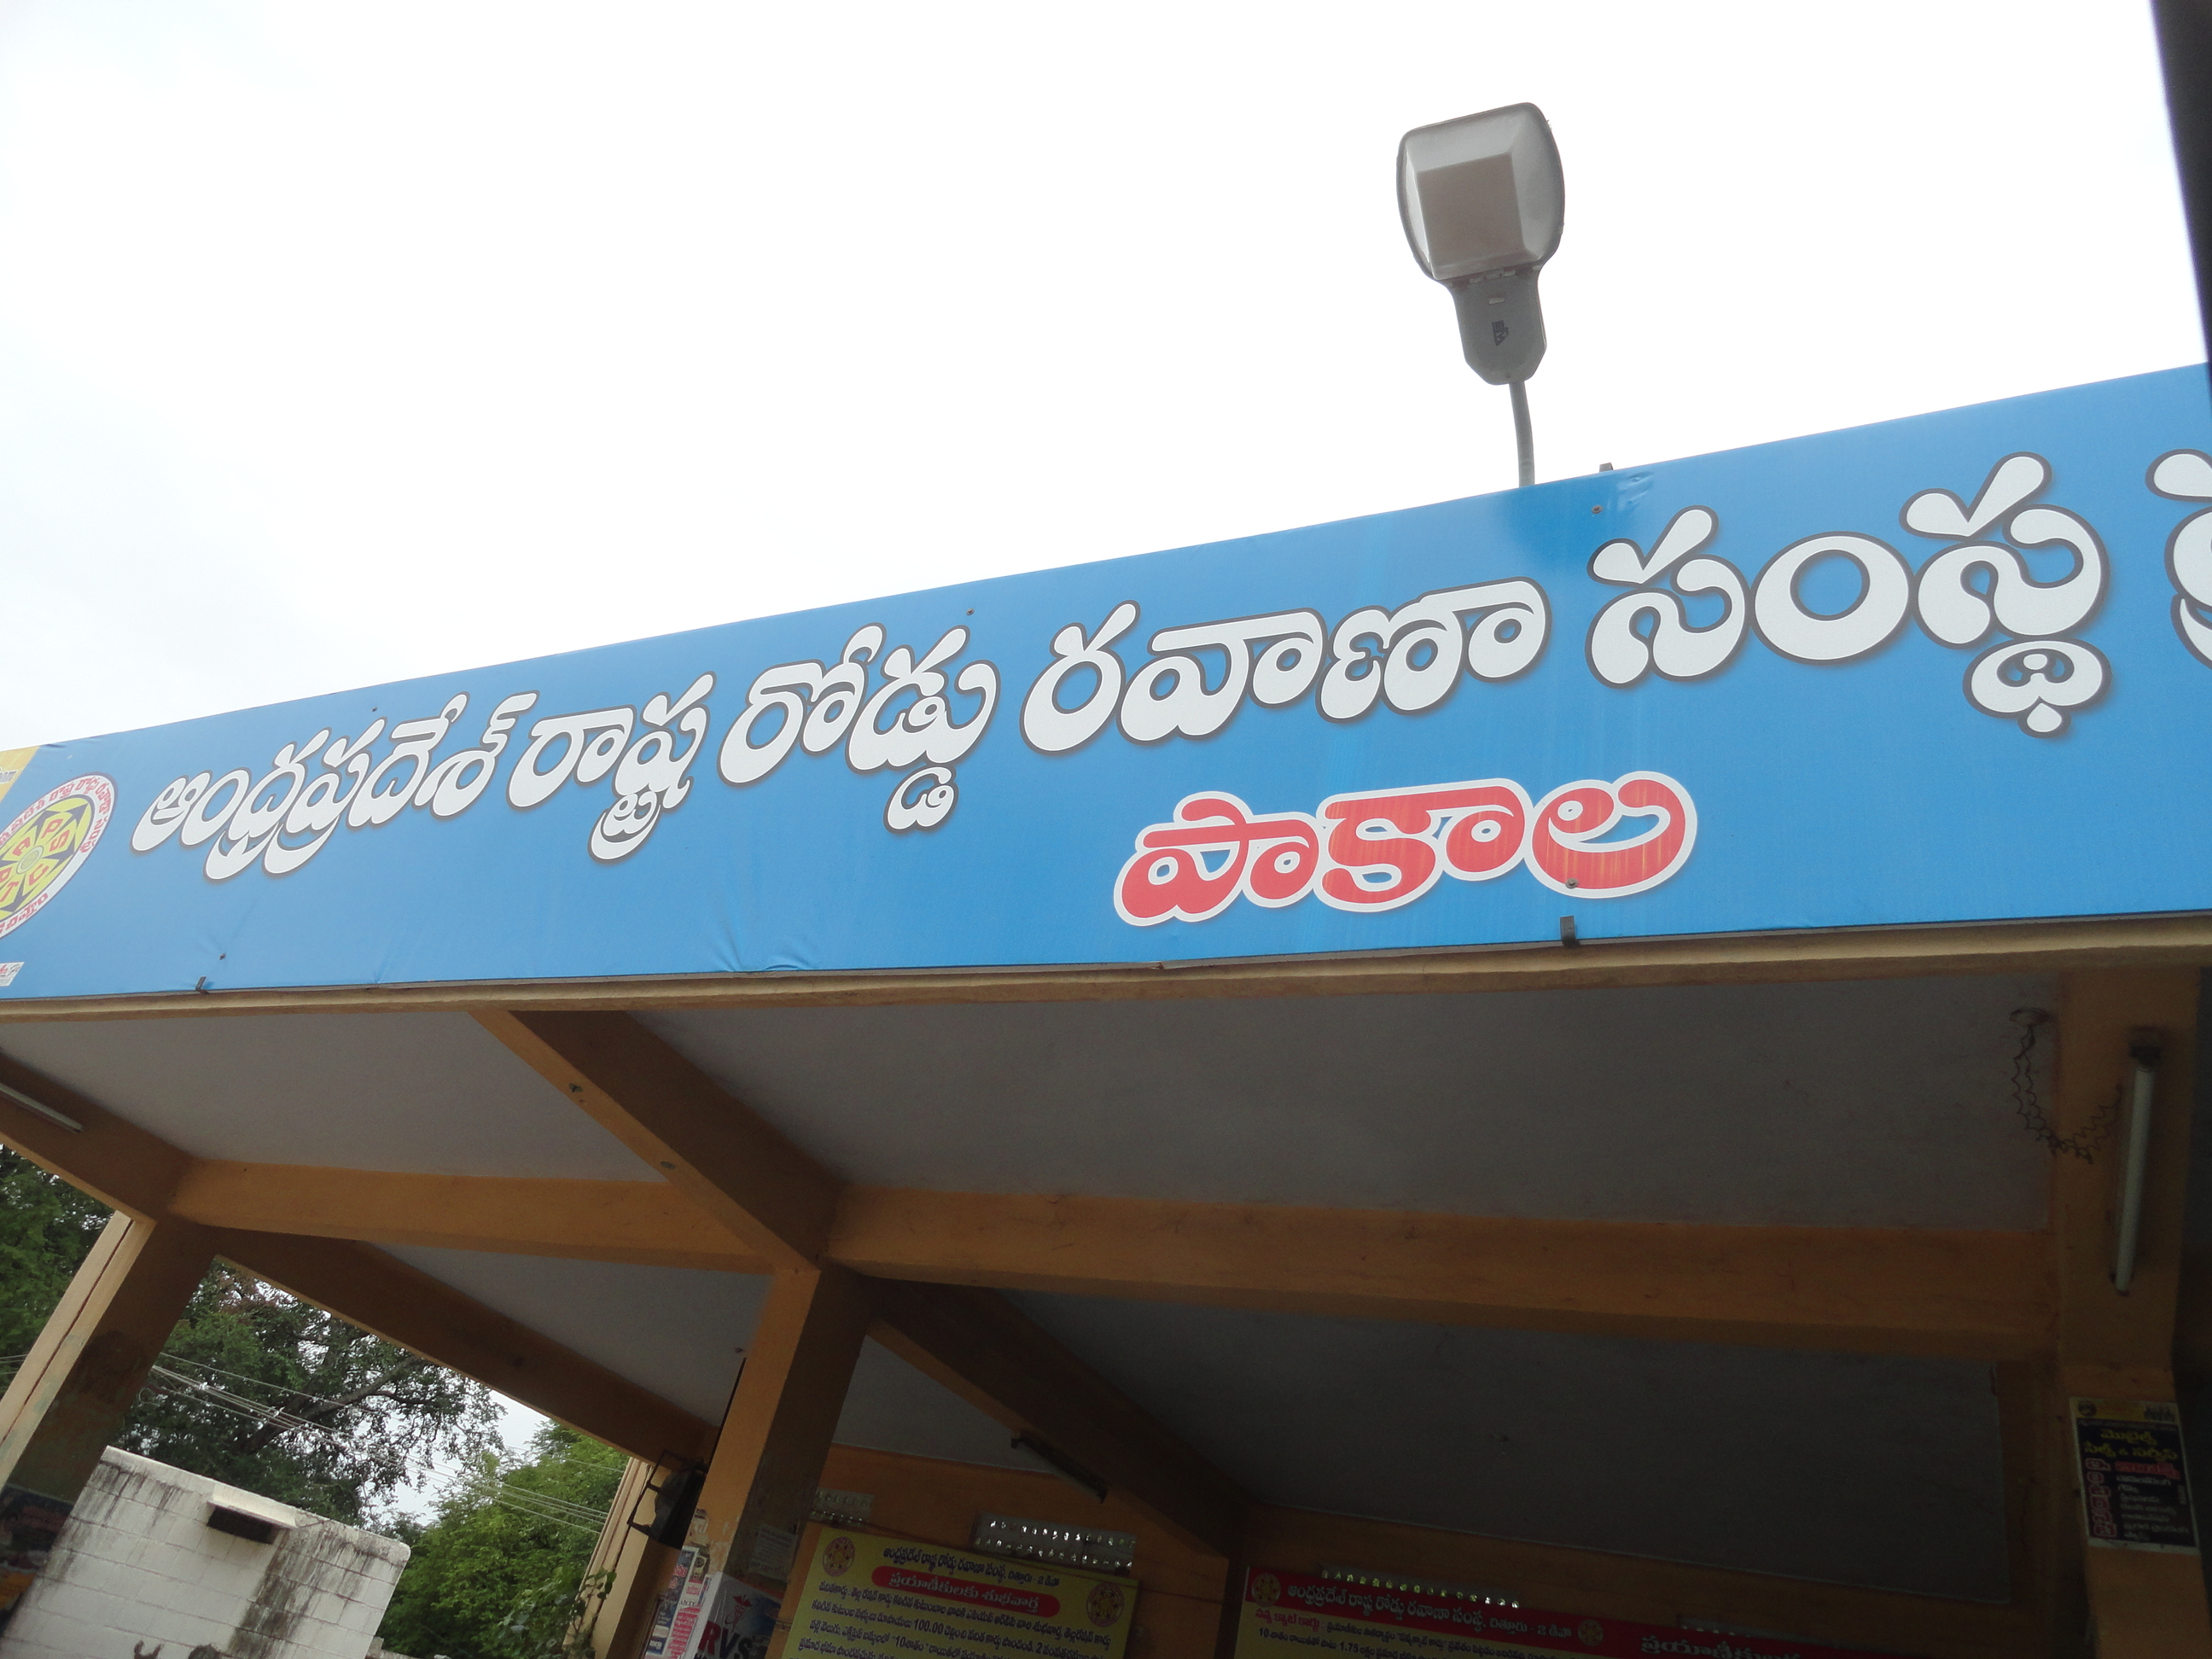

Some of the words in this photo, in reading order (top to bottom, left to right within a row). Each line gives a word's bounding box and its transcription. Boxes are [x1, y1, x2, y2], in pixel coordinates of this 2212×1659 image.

[1577, 440, 2118, 743] సంస్థ
[1008, 570, 1552, 764] రవాణా
[711, 614, 1007, 835] రోడ్డు
[122, 669, 729, 889] ఆంధ్రప్రదేశ్ రాష్ట్ర
[1100, 769, 1710, 932] పాకాల
[795, 1631, 842, 1656] ప్రమాదభమా
[875, 1609, 917, 1633] రూపాయలు
[878, 1539, 926, 1571] ఆంధ్రప్రదేశ్
[890, 1633, 931, 1655] 10 శాతం
[917, 1544, 942, 1576] రాష్ట్ర
[913, 1615, 951, 1640] 100.00
[885, 1566, 984, 1604] ప్రయాణీకులకు
[931, 1545, 963, 1579] రోడ్డ
[943, 1598, 971, 1621] వారికి
[952, 1550, 989, 1580] రవాణా
[980, 1556, 1011, 1590] సంస్థ
[975, 1582, 1045, 1620] శుభవార్త
[983, 1629, 1037, 1656] కాస్థపొందండి
[998, 1566, 1038, 1590] చిత్తూరు
[1011, 1613, 1035, 1633] వాల
[1033, 1568, 1064, 1593] 2 డిపో
[1059, 1621, 1116, 1656] తెల్లరేషన్ కార్డు
[1254, 1625, 1293, 1646] 10 శాతం
[1272, 1610, 1324, 1637] క్యాటకార్మ
[1284, 1579, 1353, 1614] ఆంధ్రప్రదేశ్
[1345, 1588, 1406, 1625] రాష్ట్ర రోడ్డు
[1402, 1598, 1456, 1629] రవాణా
[1448, 1604, 1489, 1638] సంస్థ
[1483, 1614, 1532, 1639] చిత్తూరు
[1522, 1619, 1580, 1643] 2డిపో